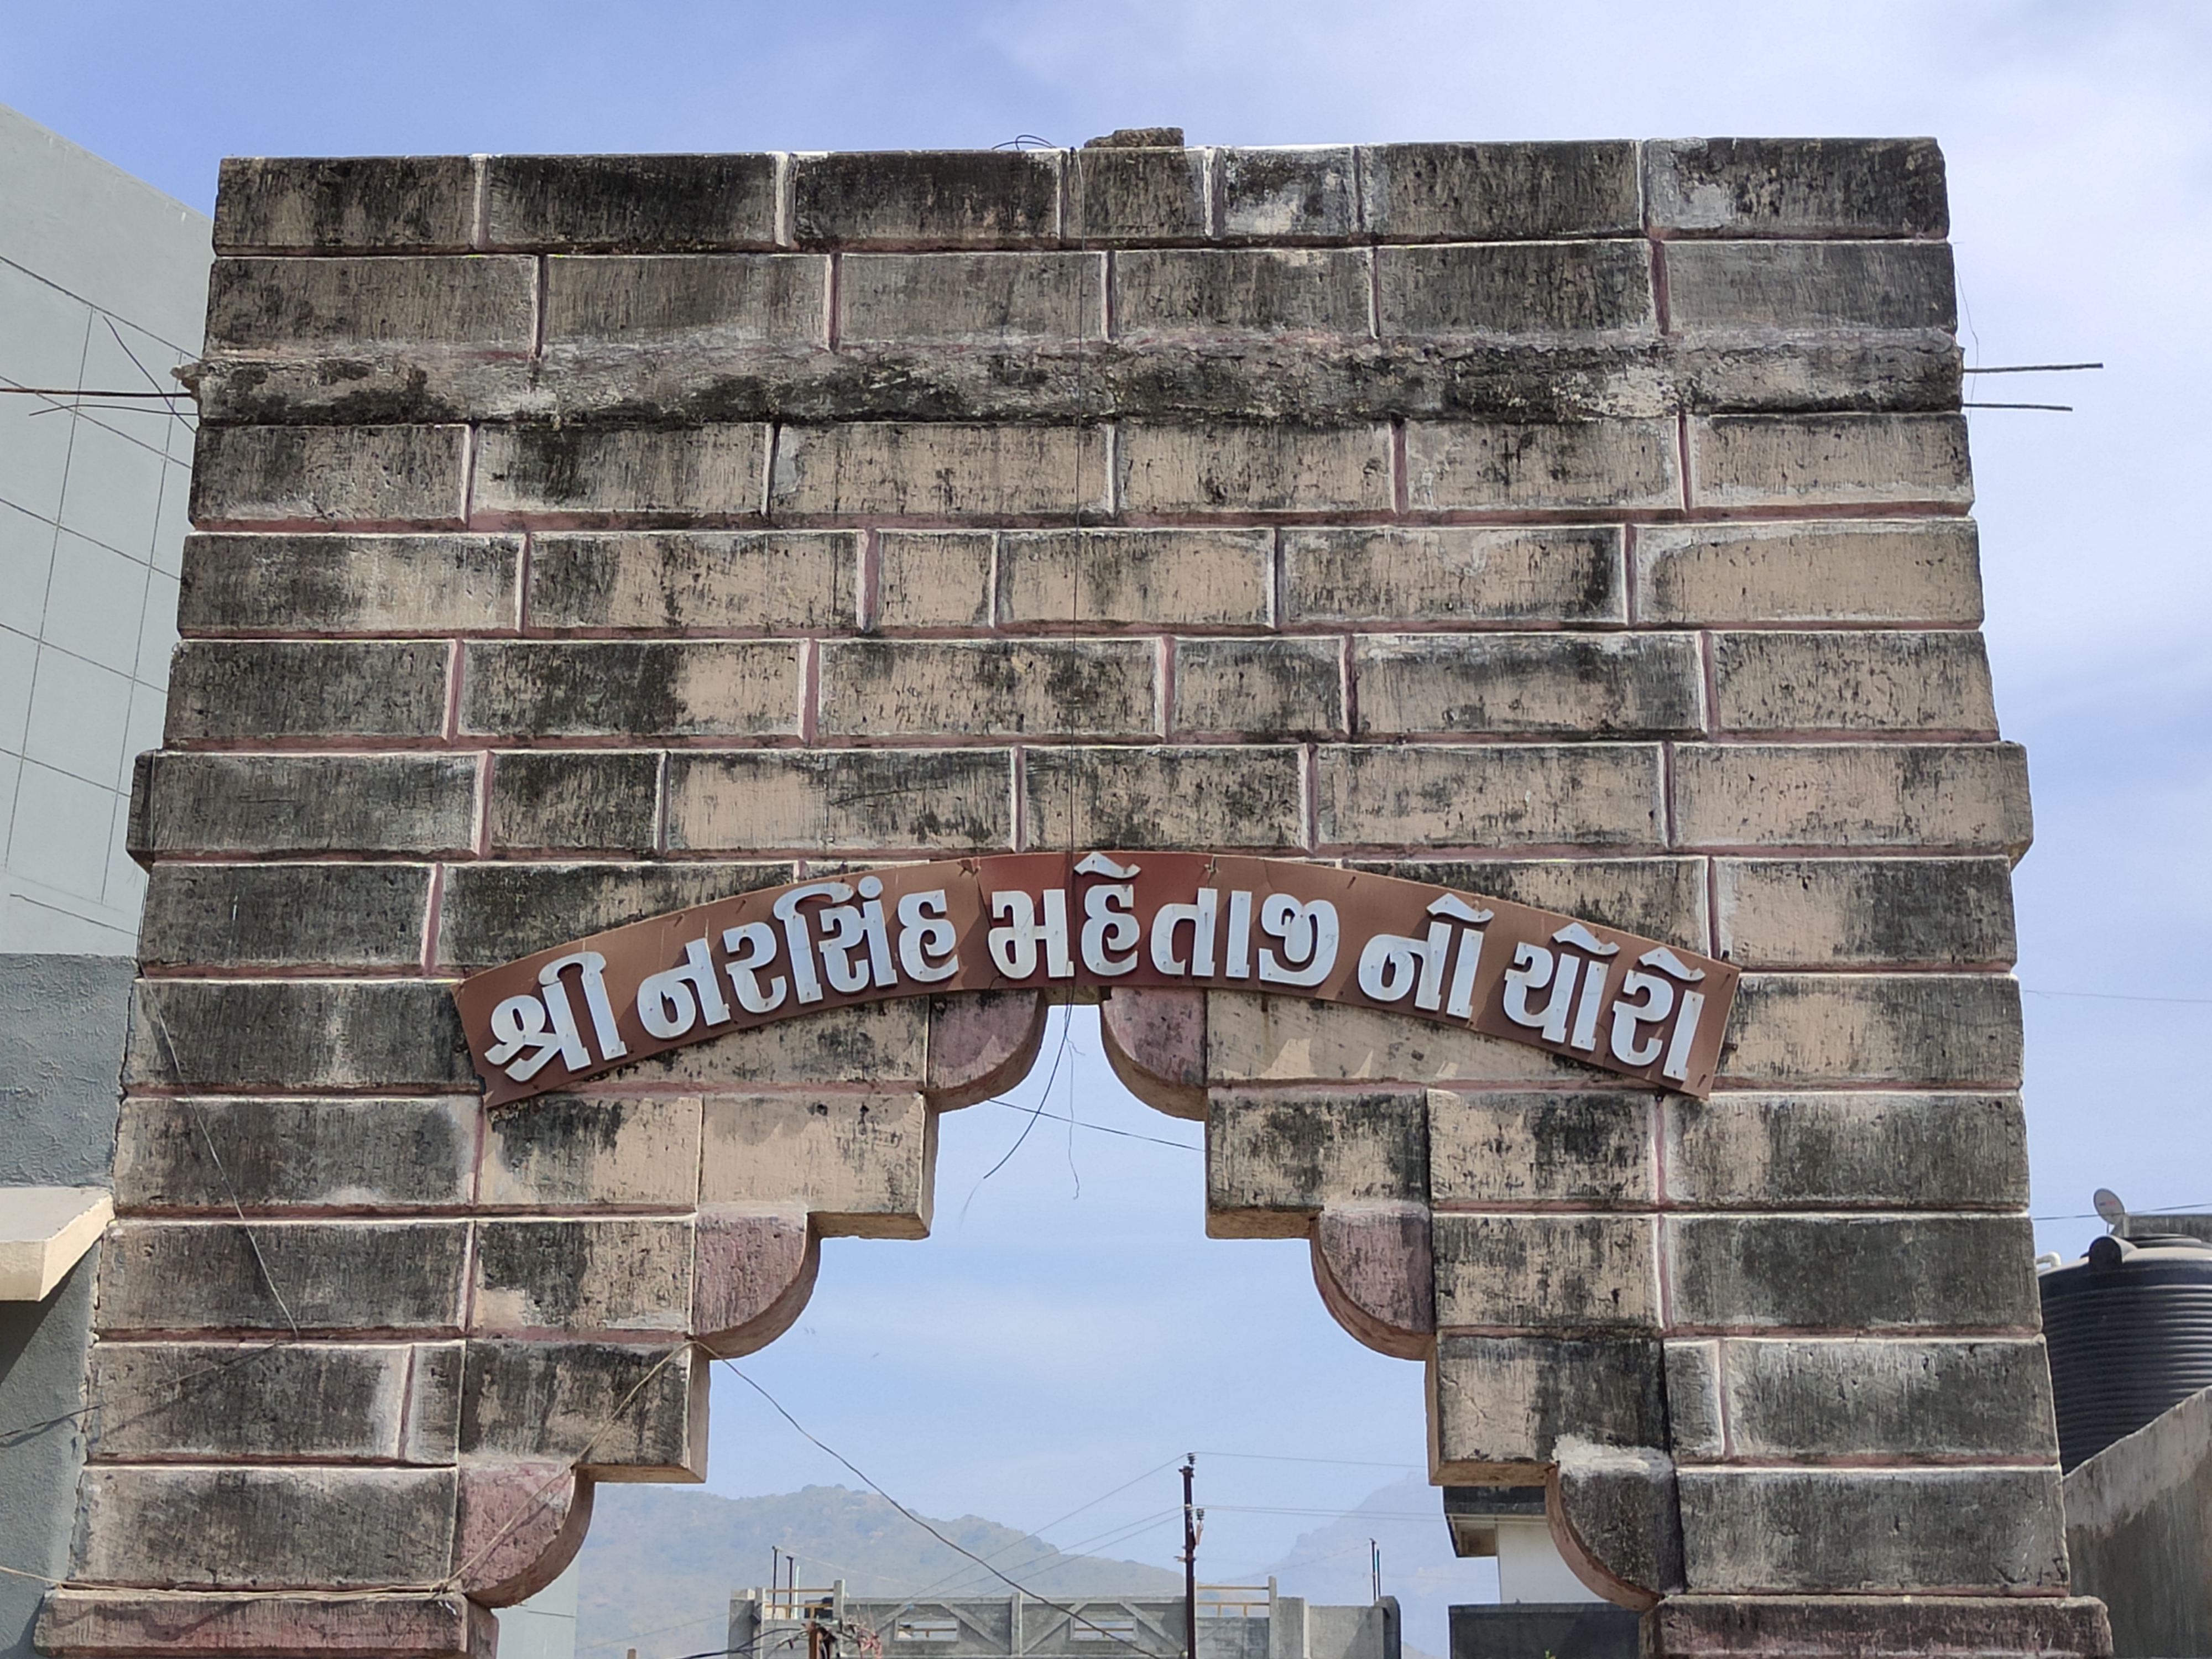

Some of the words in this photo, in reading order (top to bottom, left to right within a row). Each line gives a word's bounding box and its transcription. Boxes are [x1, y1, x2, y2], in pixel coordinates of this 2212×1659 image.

[474, 949, 645, 1093] શ્રી
[628, 874, 970, 1053] નરસિંહ
[982, 847, 1346, 995] મહેતાજી
[1348, 887, 1503, 1032] નો
[1495, 916, 1720, 1092] ચોરો